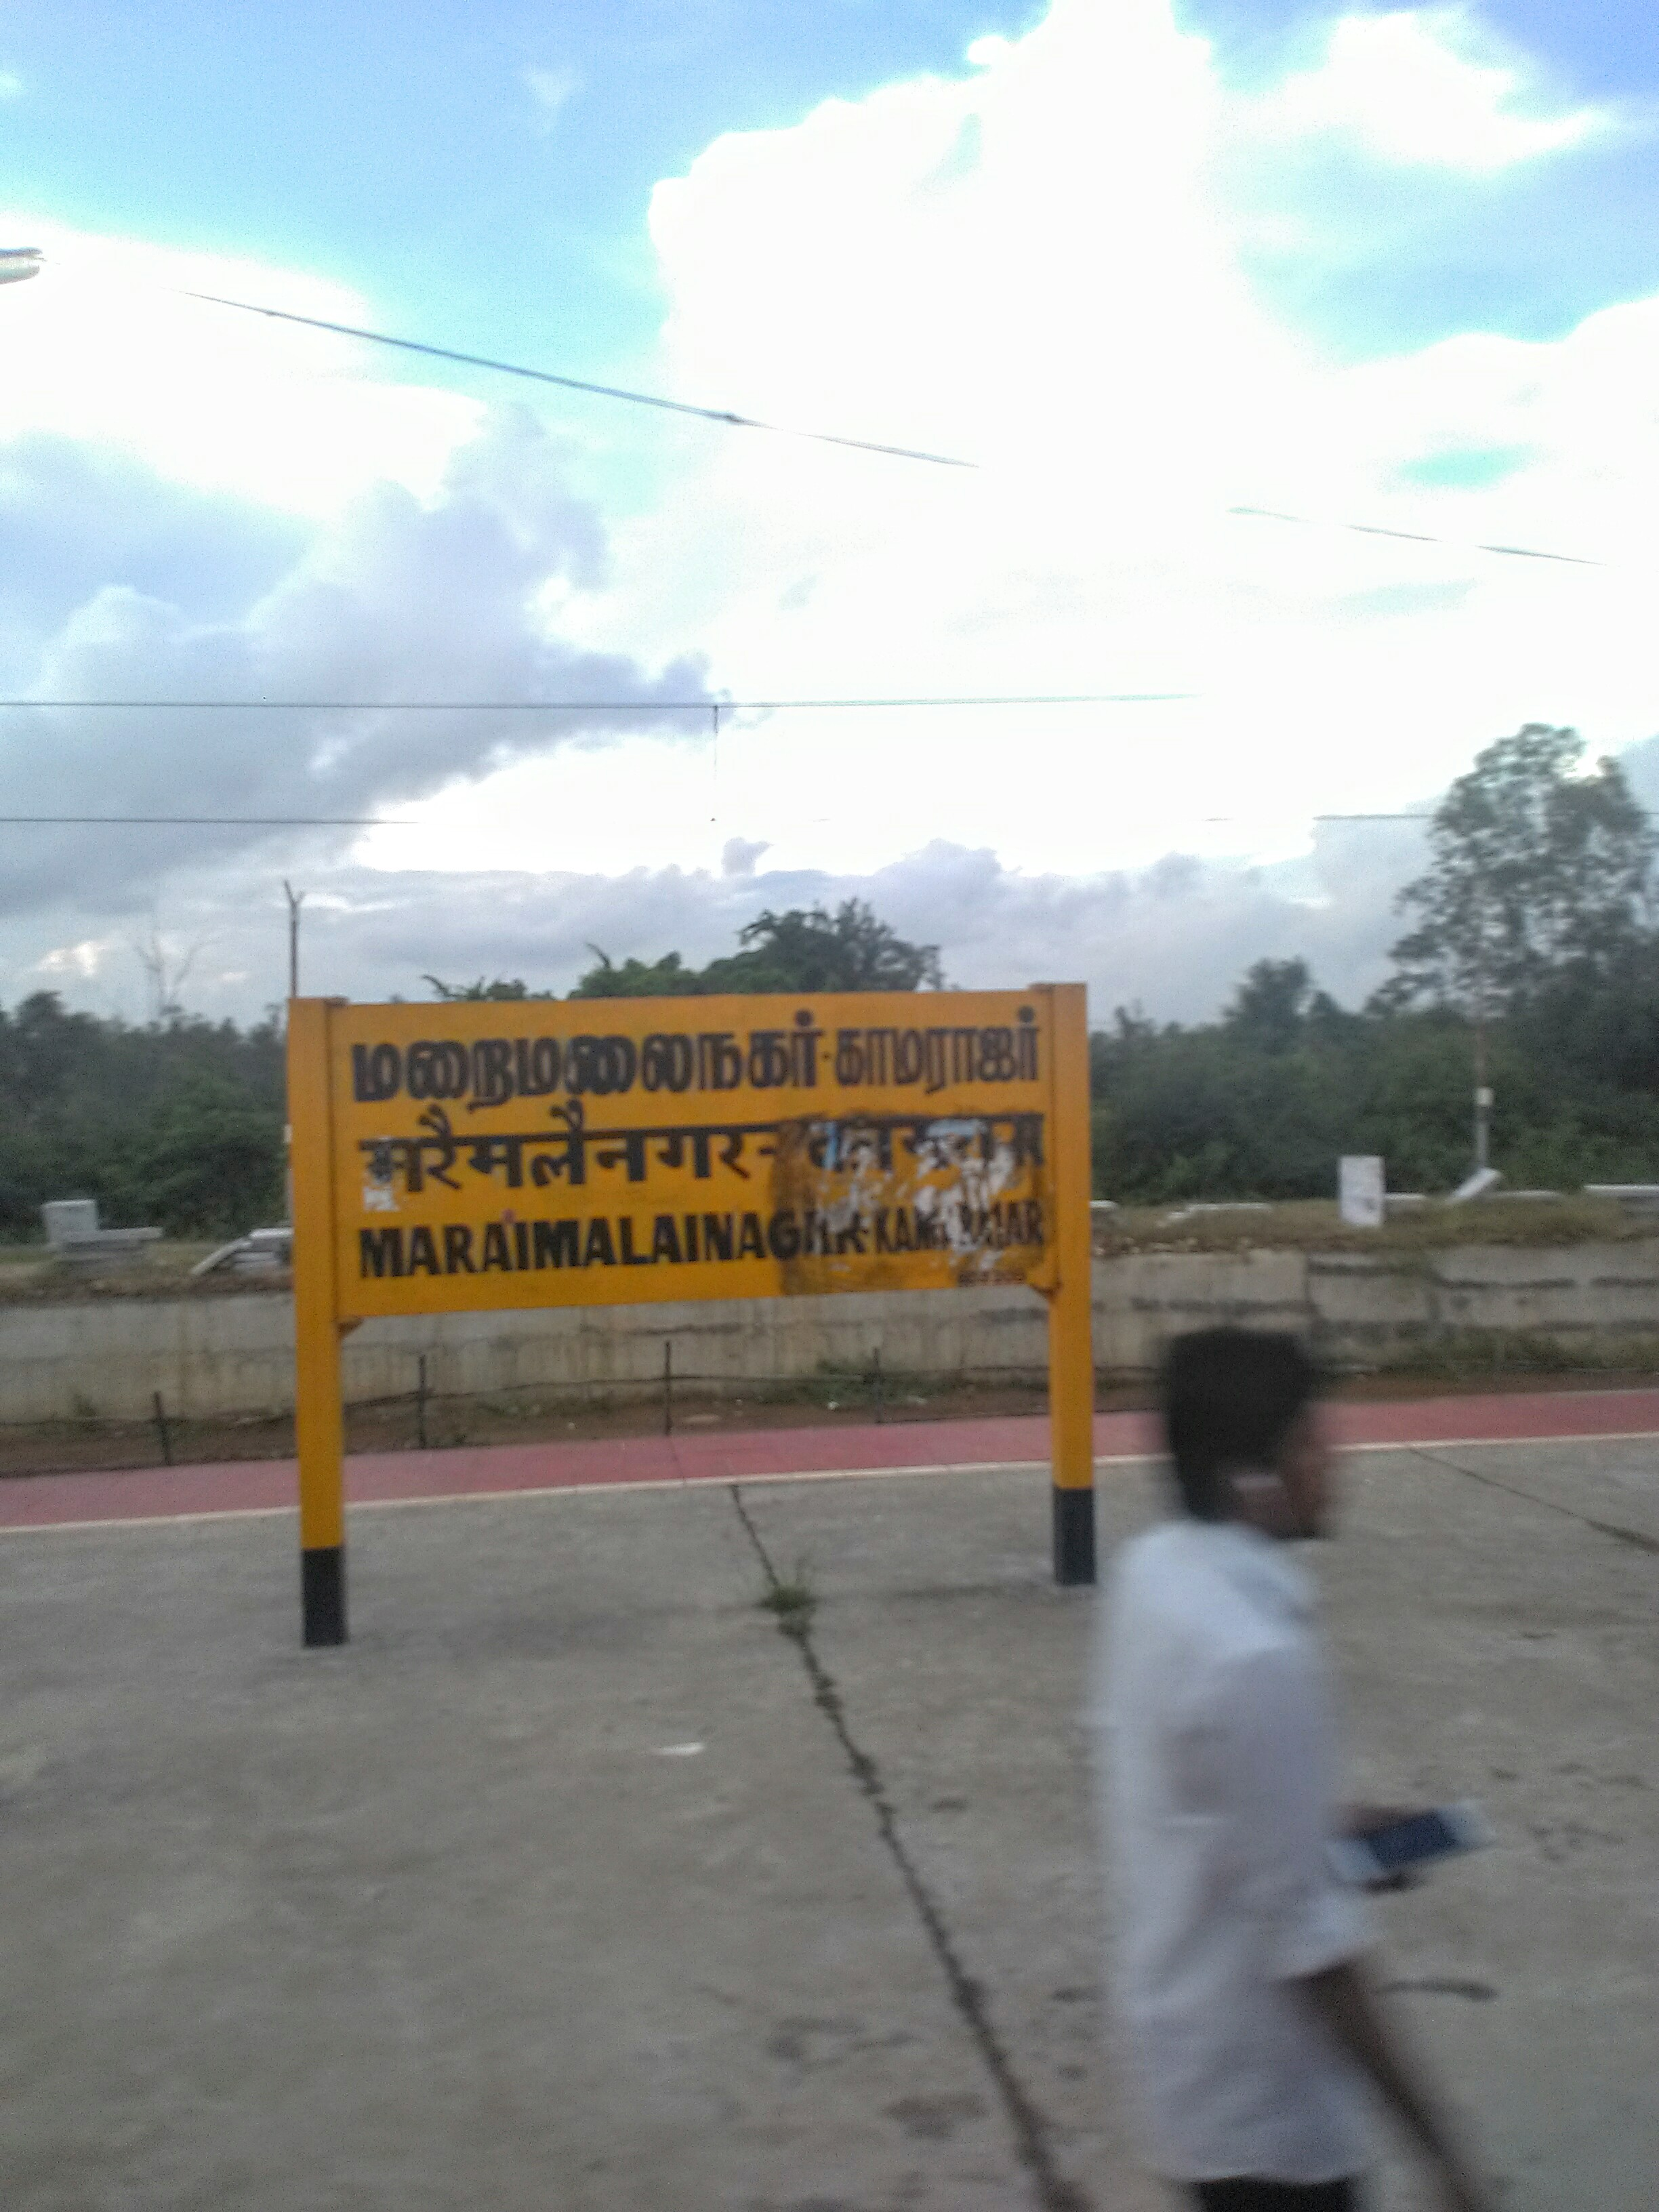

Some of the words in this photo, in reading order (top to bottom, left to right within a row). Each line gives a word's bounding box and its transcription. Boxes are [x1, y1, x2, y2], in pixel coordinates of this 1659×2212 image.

[352, 1004, 825, 1115] மறைமலைநகர்
[834, 1000, 1042, 1097] காமராஜா்
[354, 1094, 781, 1196] मरैमलैनगर
[357, 1205, 867, 1281] MARAIMALAINAGAR
[868, 1197, 1048, 1258] KAMARAJAR